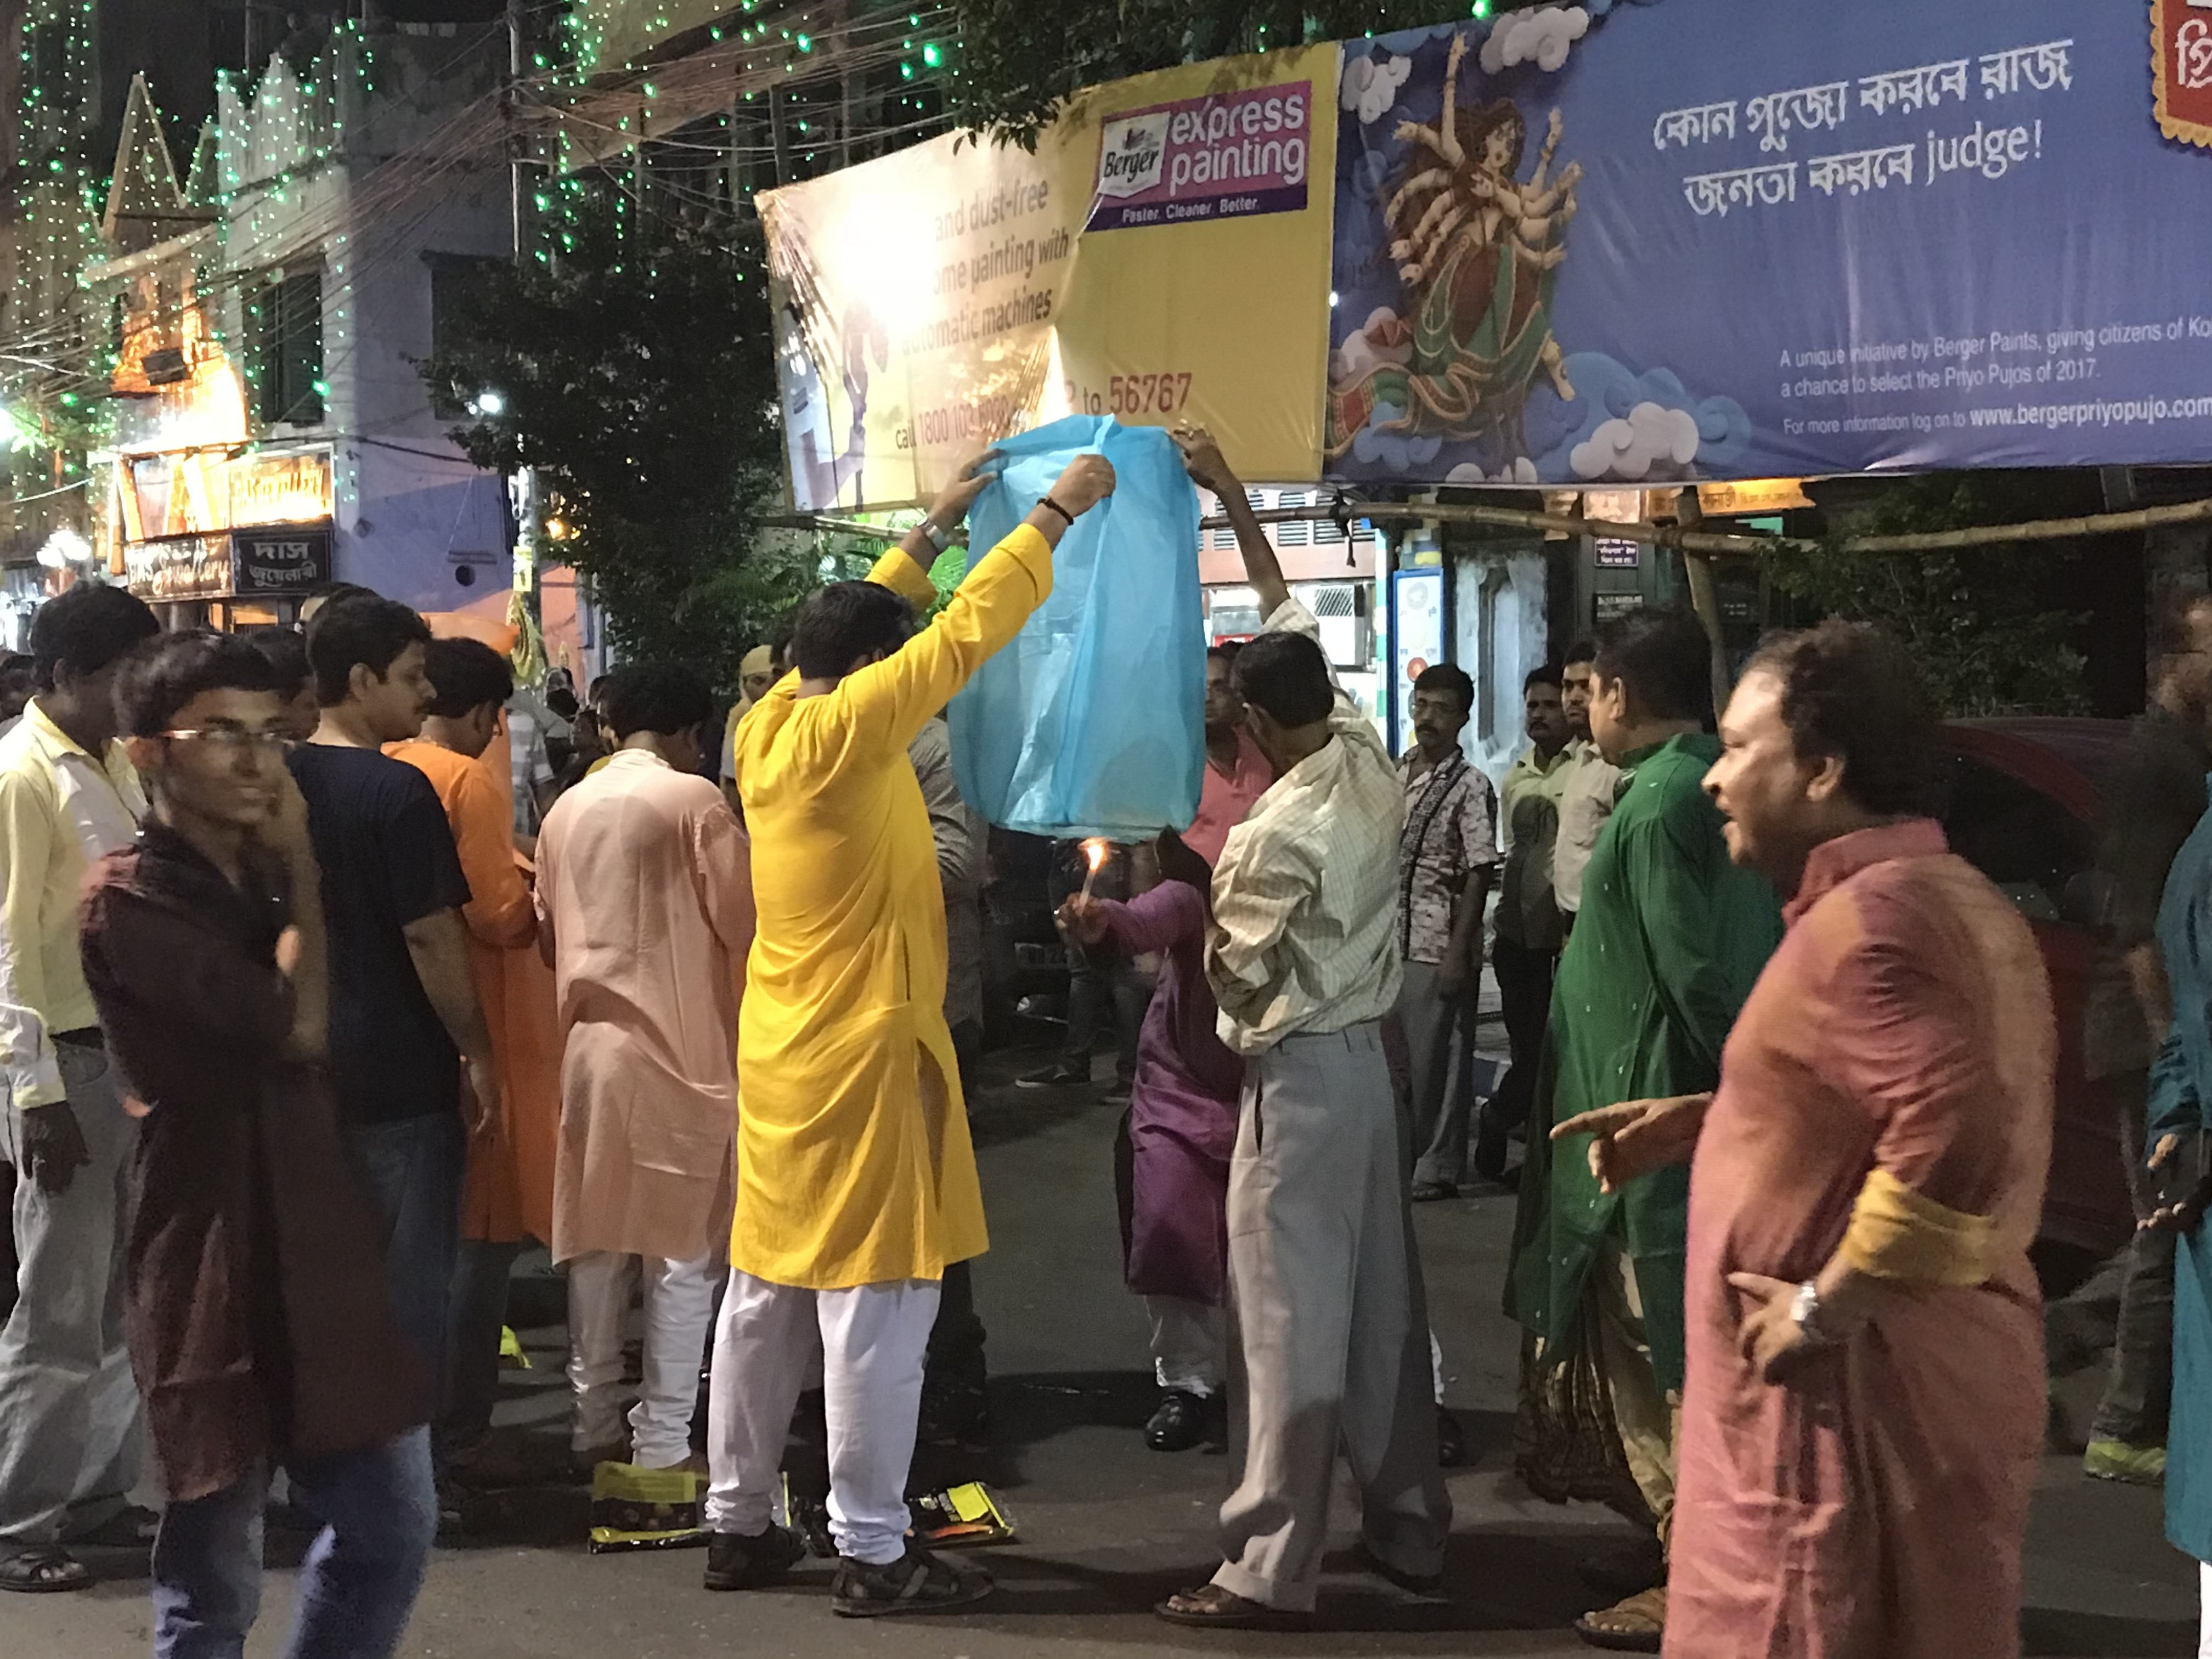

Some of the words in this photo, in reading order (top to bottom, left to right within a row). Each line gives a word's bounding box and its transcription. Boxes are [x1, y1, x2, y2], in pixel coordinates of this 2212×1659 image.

[1973, 32, 2080, 102] রাজ
[1855, 53, 1976, 120] করবে
[1167, 86, 1313, 155] express
[1649, 93, 1740, 154] কোন
[1740, 77, 1857, 158] পুজো
[1101, 133, 1166, 185] Berger
[1165, 126, 1319, 199] painting
[1802, 137, 1921, 205] করবে
[1910, 114, 2049, 190] judge!
[963, 172, 1053, 233] dust-free
[1120, 205, 1163, 223] Faster.
[1161, 198, 1214, 224] Cleaner
[1216, 191, 1263, 216] Better
[1678, 155, 1804, 222] জনতা
[1035, 222, 1077, 268] with
[963, 228, 1038, 302] painting
[979, 279, 1056, 339] machines
[890, 413, 920, 457] cail
[1071, 380, 1111, 424] to
[1100, 360, 1198, 424] 56767
[1775, 343, 1795, 370] A
[1776, 380, 1796, 401] a
[1778, 415, 1808, 437] For
[1793, 344, 1849, 371] unique
[1789, 375, 1853, 400] chance
[1804, 414, 1842, 436] more
[1848, 368, 1869, 399] to
[1841, 411, 1912, 436] information
[1844, 338, 1910, 364] Initiative
[1866, 366, 1915, 397] select
[1906, 334, 1933, 367] by
[1909, 409, 1936, 438] log
[1910, 366, 1942, 395] the
[1929, 411, 1953, 434] on
[1948, 406, 1970, 433] to
[1931, 328, 1989, 364] Berger
[1940, 359, 1988, 396] Priyo
[1985, 357, 2037, 393] Pujas
[1985, 325, 2046, 356] Paints,
[2032, 356, 2056, 390] of
[2041, 324, 2101, 359] giving
[2054, 354, 2100, 386] 2017
[1967, 391, 2211, 432] www.bergerpriyopujo.com
[2094, 317, 2164, 347] citizens
[2163, 315, 2187, 344] of
[251, 537, 312, 563] দাস
[245, 556, 324, 593] জুয়েলারী